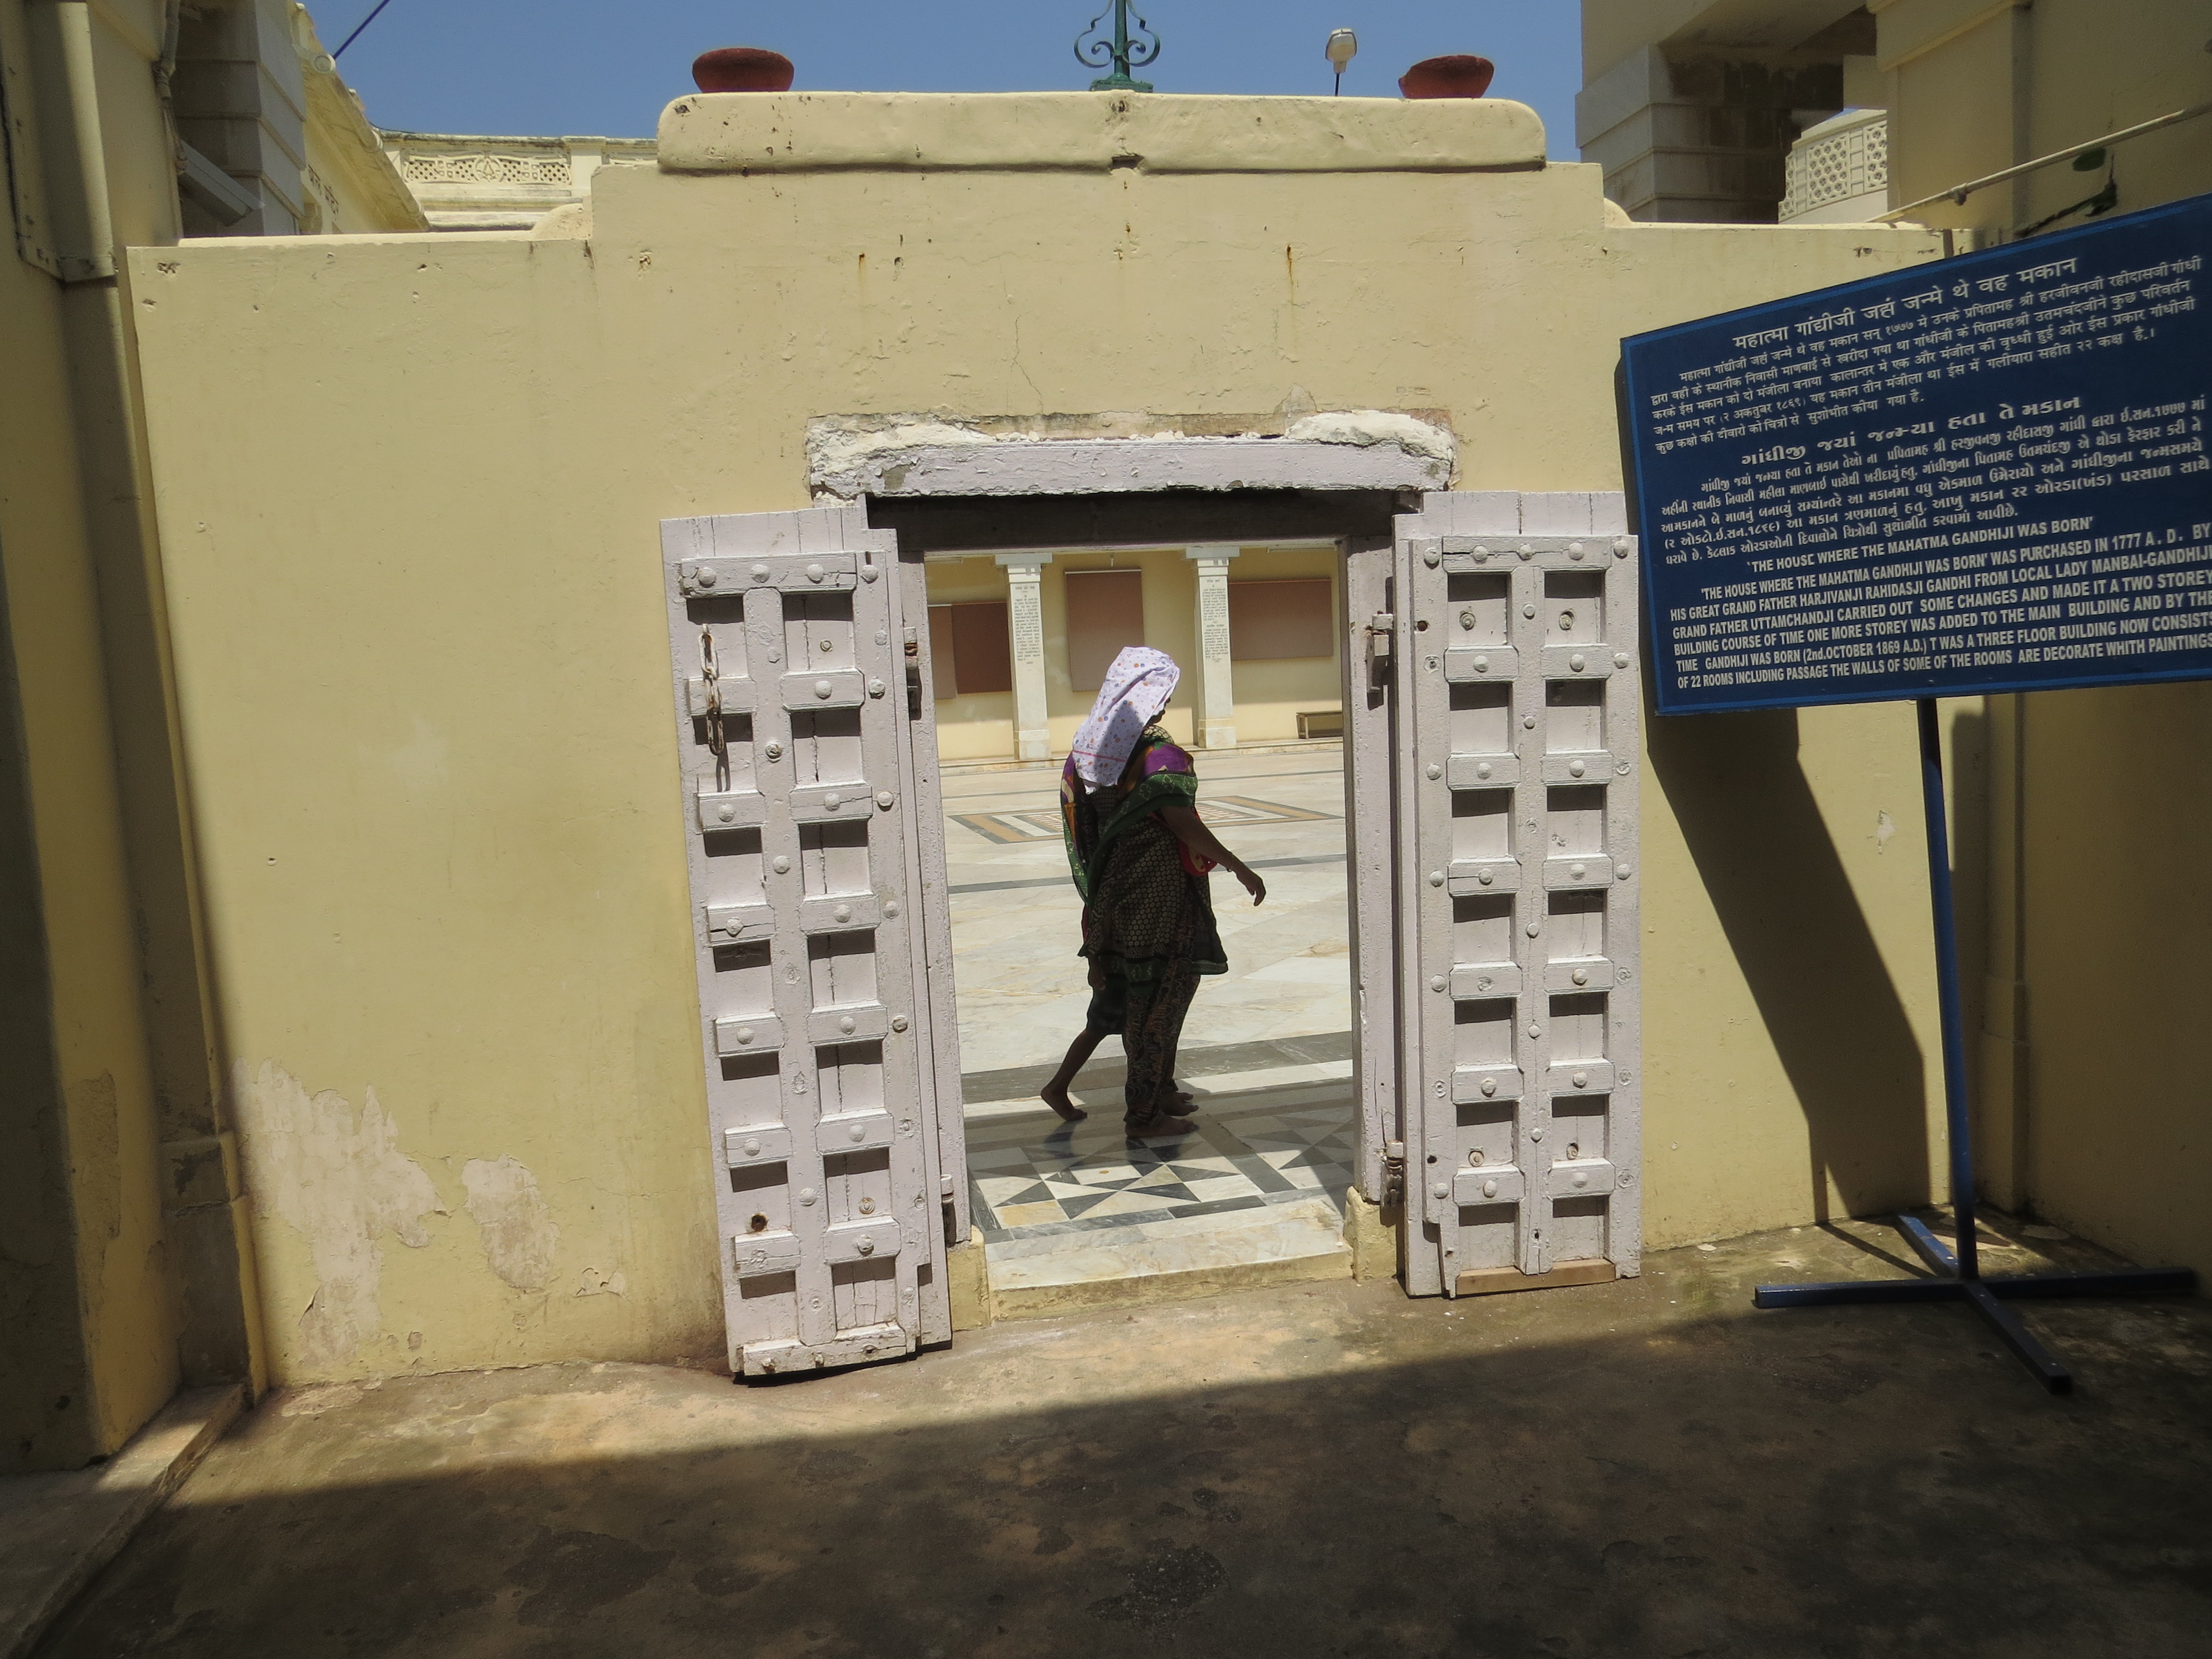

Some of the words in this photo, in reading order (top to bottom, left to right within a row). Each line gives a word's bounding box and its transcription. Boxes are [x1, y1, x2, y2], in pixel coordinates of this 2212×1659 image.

[1647, 388, 1671, 408] द्वारा
[1650, 421, 1674, 438] जन्म
[1649, 403, 1677, 423] करके
[1649, 436, 1677, 458] कुछ
[1666, 537, 1678, 551] ર
[1662, 549, 1688, 567] ધરાવે
[1661, 497, 1691, 519] અહીંની
[1669, 606, 1687, 623] HIS
[1670, 385, 1690, 401] वही
[1674, 675, 1689, 691] OF
[1657, 512, 1707, 535] આમકાનને
[1674, 400, 1694, 418] ईस
[1673, 432, 1699, 450] कक्षो
[1674, 657, 1700, 674] TIME
[1673, 416, 1702, 434] समय
[1670, 623, 1708, 641] GRAND
[1676, 363, 1713, 383] महात्मा
[1688, 673, 1702, 688] 22
[1671, 638, 1720, 658] BUILDING
[1688, 546, 1704, 563] છે.
[1691, 382, 1704, 398] के
[1687, 603, 1721, 620] GREAT
[1690, 493, 1722, 513] રથાનીક
[1698, 429, 1715, 446] की
[1699, 413, 1719, 427] प‍र
[1695, 395, 1725, 413] मकान
[1701, 585, 1723, 602] THE
[1677, 525, 1749, 546] ઓકટો.ઈ.સન.
[1696, 473, 1732, 493] ગાંધીજી
[1708, 509, 1720, 527] એ
[1700, 671, 1735, 688] ROOMS
[1703, 544, 1738, 561] કે૮લાક
[1704, 375, 1743, 396] स्थानीक
[1703, 652, 1750, 671] GANDHIJI
[1721, 409, 1733, 422] ૨
[1707, 618, 1750, 638] FATHER
[1710, 352, 1749, 378] गांद्यीजी
[1715, 421, 1748, 443] दीवारो
[1724, 389, 1742, 406] को
[1722, 504, 1755, 526] માળનું
[1720, 598, 1757, 616] GRAND
[1723, 487, 1757, 506] નિવાસી
[1721, 580, 1759, 599] HOUSE
[1719, 633, 1762, 653] COURSE
[1731, 470, 1752, 489] જયાં
[1741, 387, 1756, 401] दो
[1731, 401, 1776, 421] अकतुबर
[1748, 419, 1764, 435] को
[1749, 348, 1769, 368] जहां
[1733, 667, 1786, 686] INCLUDING
[1729, 322, 1792, 352] महात्मा
[1749, 650, 1772, 669] WAS
[1743, 363, 1780, 385] निवासी
[1750, 557, 1773, 575] THE
[1745, 521, 1779, 537] ૧૮૬૯
[1751, 467, 1782, 487] જન્મ્યા
[1737, 532, 1796, 554] ઓરડાઓની
[1761, 631, 1777, 648] OF
[1756, 483, 1787, 503] મહીલા
[1754, 378, 1791, 399] मंजीला
[1738, 442, 1808, 467] ગાયરજી
[1755, 498, 1794, 519] બનાવ્યું
[1762, 413, 1789, 431] चित्रो
[1757, 577, 1796, 595] WHERE
[1757, 593, 1797, 612] FATHER
[1768, 343, 1794, 362] जन्मे
[1771, 648, 1803, 665] BORN
[1773, 396, 1804, 411] १८६९
[1748, 608, 1835, 632] UTTAMCHANDJI
[1777, 628, 1807, 647] TIME
[1782, 465, 1804, 481] હતા
[1783, 514, 1806, 530] આ
[1773, 549, 1816, 571] HOUSE
[1788, 410, 1802, 429] से
[1780, 354, 1820, 377] माणबाई
[1795, 338, 1808, 357] थ‍े
[1793, 573, 1818, 591] THE
[1789, 373, 1825, 392] बनाया
[1800, 458, 1814, 477] તે
[1786, 473, 1828, 497] માણબાઇ
[1785, 663, 1830, 681] PASSAGE
[1804, 645, 1827, 663] 2nd.
[1806, 390, 1827, 404] यह
[1795, 524, 1839, 546] દિવાલોને
[1807, 339, 1828, 354] वह
[1806, 625, 1831, 644] ONE
[1795, 491, 1845, 515] સમ્યાંન્તરે
[1805, 510, 1841, 527] મકાન
[1793, 305, 1858, 338] गांद्यीजी
[1818, 350, 1834, 369] से
[1803, 402, 1851, 426] सुशोभीत
[1814, 458, 1841, 474] મકાન
[1797, 585, 1864, 608] HARJIVANJI
[1814, 427, 1859, 453] જયાં
[1813, 545, 1861, 566] WHERE
[1829, 660, 1851, 678] THE
[1827, 383, 1860, 403] मकान
[1826, 330, 1862, 349] मकान
[1816, 566, 1872, 589] MAHATMA
[1828, 469, 1864, 488] પ1સેથી
[1829, 622, 1864, 641] MORE
[1823, 641, 1876, 661] OCTOBER
[1839, 450, 1864, 469] તેઑ
[1833, 346, 1872, 367] खरीदा
[1827, 363, 1879, 384] कालान्तर
[1846, 491, 1865, 508] આ
[1839, 519, 1881, 541] ચિત્રોથી
[1835, 602, 1887, 623] CARRIED
[1849, 397, 1880, 415] कीया
[1850, 659, 1887, 676] WALLS
[1864, 450, 1878, 464] ના
[1841, 500, 1901, 523] ત્રણમાળનું
[1861, 378, 1883, 397] तीन
[1859, 540, 1885, 558] 1116
[1860, 324, 1885, 343] सन्
[1859, 294, 1903, 325] जहां
[1871, 341, 1893, 357] गया
[1875, 358, 1890, 374] मेे
[1863, 618, 1909, 638] STOREY
[1874, 639, 1901, 656] 1869
[1865, 484, 1912, 503] મકાનમા
[1863, 462, 1920, 484] ખરીદાયું હતું.
[1885, 656, 1902, 674] OF
[1863, 578, 1925, 602] RAHIDASJI
[1883, 392, 1910, 409] गया
[1869, 559, 1924, 581] GANDHIJI
[1885, 319, 1916, 337] १७७७
[1890, 354, 1912, 370] एक
[1865, 418, 1938, 445] જન્મ્યા
[1887, 598, 1916, 618] OUT
[1894, 336, 1913, 353] था
[1882, 369, 1925, 389] मंजीला
[1879, 515, 1928, 540] સુશોભીત
[1884, 442, 1932, 462] પ્રપિતામહ
[1901, 637, 1925, 655] A.D.
[1902, 500, 1929, 516] હતુ
[1906, 388, 1927, 407] हैं
[1902, 654, 1932, 672] SOME
[1884, 533, 1952, 556] MAHATMA
[1915, 312, 1929, 329] मेे
[1907, 615, 1938, 633] WAS
[1898, 282, 1948, 314] जन्मे
[1913, 480, 1935, 499] વઘુ
[1911, 349, 1939, 366] और
[1927, 634, 1938, 653] T
[1912, 326, 1954, 349] गांधीजी
[1926, 367, 1943, 382] था
[1916, 594, 1956, 614] SOME
[1922, 556, 1952, 576] WAS
[1932, 435, 1948, 455] શ્રી
[1931, 653, 1949, 670] OF
[1929, 305, 1961, 328] उनके
[1919, 454, 1974, 477] ગાંધીજીના
[1931, 493, 1966, 512] આખુ
[1925, 571, 1973, 596] GANDHI
[1937, 632, 1966, 651] WAS
[1932, 507, 1974, 527] કરવામાં
[1945, 361, 1968, 382] ईस
[1938, 340, 1976, 361] मंजील
[1936, 611, 1980, 631] ADDED
[1947, 651, 1973, 670] THE
[1936, 472, 1985, 493] એકમાળ
[1950, 275, 1973, 302] थे
[1954, 321, 1971, 340] क‍े
[1943, 408, 1989, 432] હતા
[1950, 551, 1988, 572] BORN
[1965, 632, 1977, 649] A
[1968, 356, 1984, 375] में
[1950, 429, 2004, 451] હરજીવનજી
[1949, 524, 2016, 546] GANDHIJI
[1976, 336, 1996, 356] की
[1965, 487, 2007, 505] મકાન
[1954, 587, 2020, 611] CHANGES
[1961, 296, 2016, 319] પ્રવિતામહ
[1979, 608, 1999, 628] TO
[1973, 568, 2011, 592] FROM
[1971, 649, 2013, 667] ROOMS
[1973, 271, 2013, 294] वह
[1971, 447, 2015, 469] પિતામહ
[1974, 629, 2016, 648] 18886
[1975, 500, 2020, 521] આવીછે.
[1970, 310, 2031, 337] पितामहश्री
[1986, 547, 2019, 567] WAS
[1992, 398, 2020, 423] તે
[1984, 349, 2036, 370] गलीयारा
[1985, 460, 2037, 484] ઉમેરાયો
[1997, 606, 2027, 625] THE
[1995, 326, 2034, 352] वृध्धी
[2007, 483, 2031, 500] રર
[2017, 289, 2037, 309] श्री
[2016, 645, 2042, 665] ARE
[2002, 422, 2058, 443] રહીદાસજી
[2007, 564, 2054, 586] LOCAL
[2014, 518, 2050, 539] WAS
[2018, 584, 2051, 604] AND
[2015, 625, 2059, 645] FLOOR
[2015, 438, 2073, 460] ઉતમચંદજી
[2032, 322, 2057, 346] हुई
[2027, 602, 2063, 622] MAIN
[2012, 252, 2085, 288] मकान
[2018, 393, 2086, 418] મકાન
[2037, 454, 2067, 476] અને
[2036, 340, 2074, 362] सहीत
[2017, 538, 2094, 564] PURCHASED
[2031, 291, 2109, 324] उतमचंदजीने
[2049, 513, 2093, 535] BORN
[2050, 579, 2092, 601] MADE
[2037, 272, 2106, 304] हरजीवनजी
[2056, 318, 2087, 339] ओर
[2052, 558, 2091, 581] LADY
[2056, 411, 2089, 434] ગાંધી
[2031, 469, 2116, 495] ઓરડા(ખંડ)
[2042, 640, 2105, 664] DECORATE
[2074, 432, 2093, 452] એ
[2074, 337, 2095, 353] ર૨
[2057, 619, 2119, 642] BUILDING
[2085, 312, 2110, 333] ईस
[2065, 595, 2132, 620] BUILDING
[2090, 578, 2108, 596] IT
[2068, 448, 2136, 472] ગાંધીજીના
[2093, 535, 2112, 556] IN
[2089, 411, 2118, 430] ક1ર1
[2093, 428, 2124, 447] થોડા
[2094, 331, 2126, 349] कक्ष
[2107, 577, 2122, 594] A
[2109, 289, 2138, 313] कुछ
[2102, 638, 2147, 659] WHITH
[2110, 531, 2144, 553] 1777
[2109, 306, 2150, 328] प्रकार
[2115, 615, 2153, 637] NOW
[2105, 259, 2171, 289] रहीदासजी
[2120, 571, 2156, 595] TWO
[2130, 322, 2151, 345] है.
[2123, 424, 2164, 446] ફેરફાર
[2116, 462, 2175, 486] પરસાળ
[2132, 593, 2163, 614] AND
[2089, 541, 2211, 576] MANBAI-GANDHIJI
[2119, 399, 2189, 424] ઇ.સન.૧૭૭૭
[2142, 523, 2187, 548] A.D.
[2137, 274, 2194, 301] परिवर्तन
[2138, 435, 2205, 460] જન્મસમયે
[2147, 293, 2198, 319] गांधीजी
[2163, 589, 2187, 612] BY
[2164, 416, 2190, 437] કરી
[2146, 631, 2211, 656] PAINTINGS
[2151, 609, 2211, 634] CONSISTS
[2155, 567, 2211, 589] STOREY
[2169, 253, 2206, 277] गांधी
[2177, 453, 2210, 477] સાથે
[2188, 413, 2206, 435] ને
[2188, 389, 2208, 413] मां
[2187, 589, 2211, 608] THE
[2190, 518, 2211, 541] BY